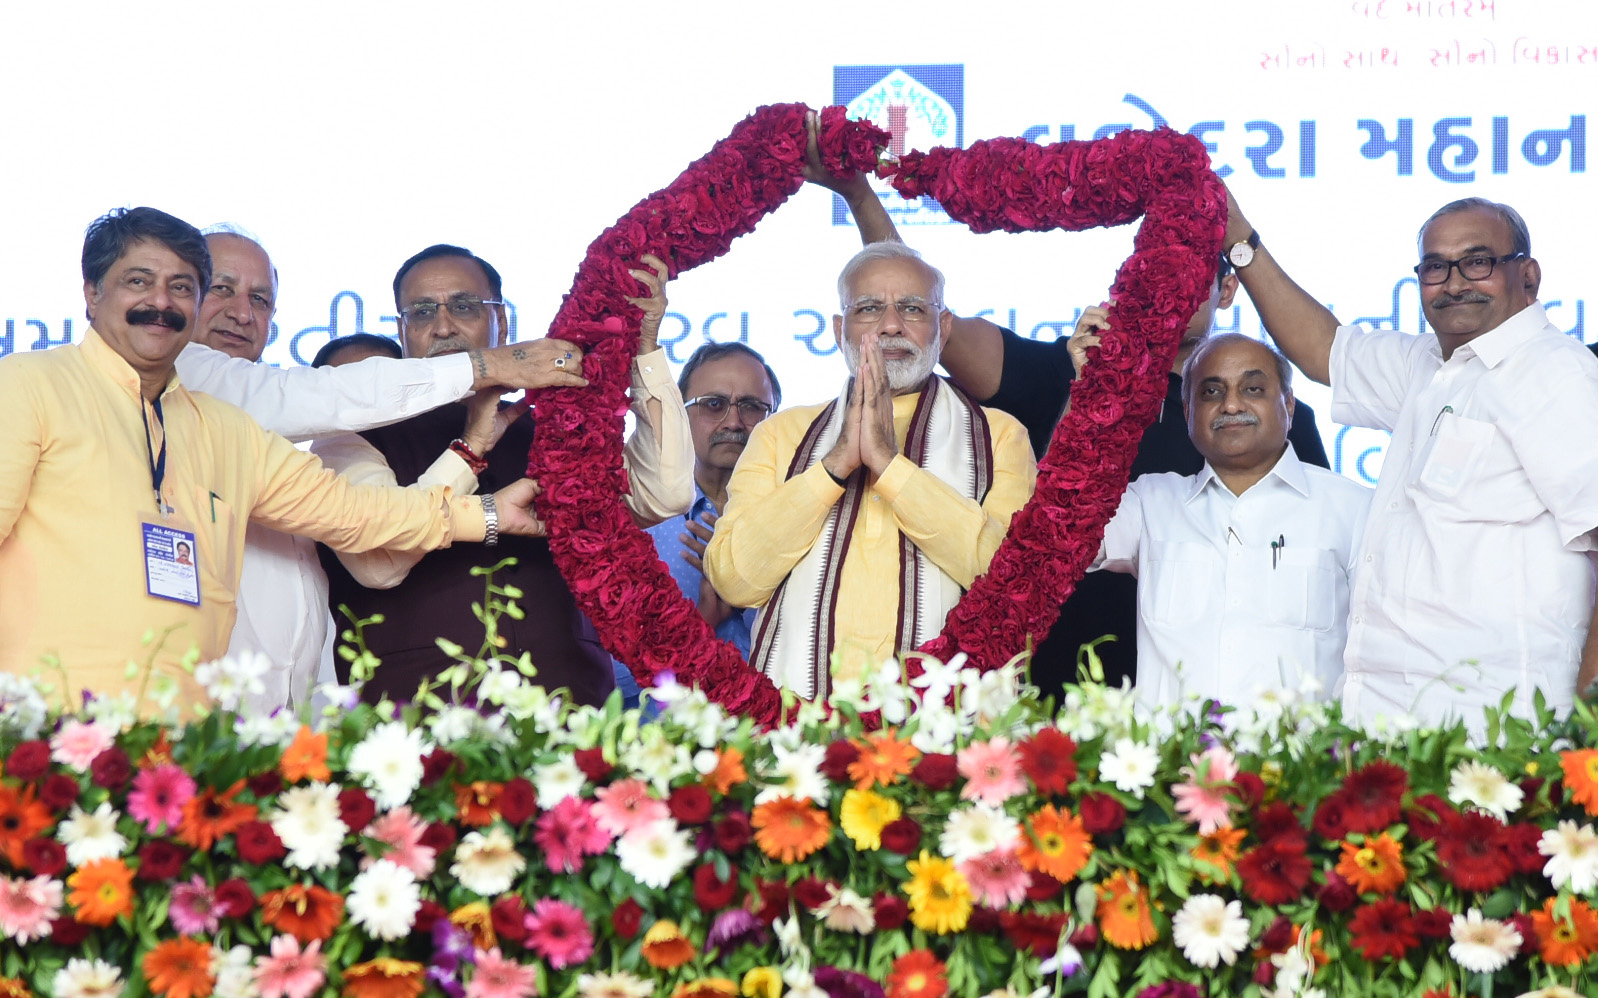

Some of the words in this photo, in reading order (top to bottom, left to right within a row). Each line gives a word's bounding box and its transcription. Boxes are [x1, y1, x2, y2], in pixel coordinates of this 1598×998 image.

[1234, 110, 1325, 187] રા
[1342, 106, 1598, 194] મહાન